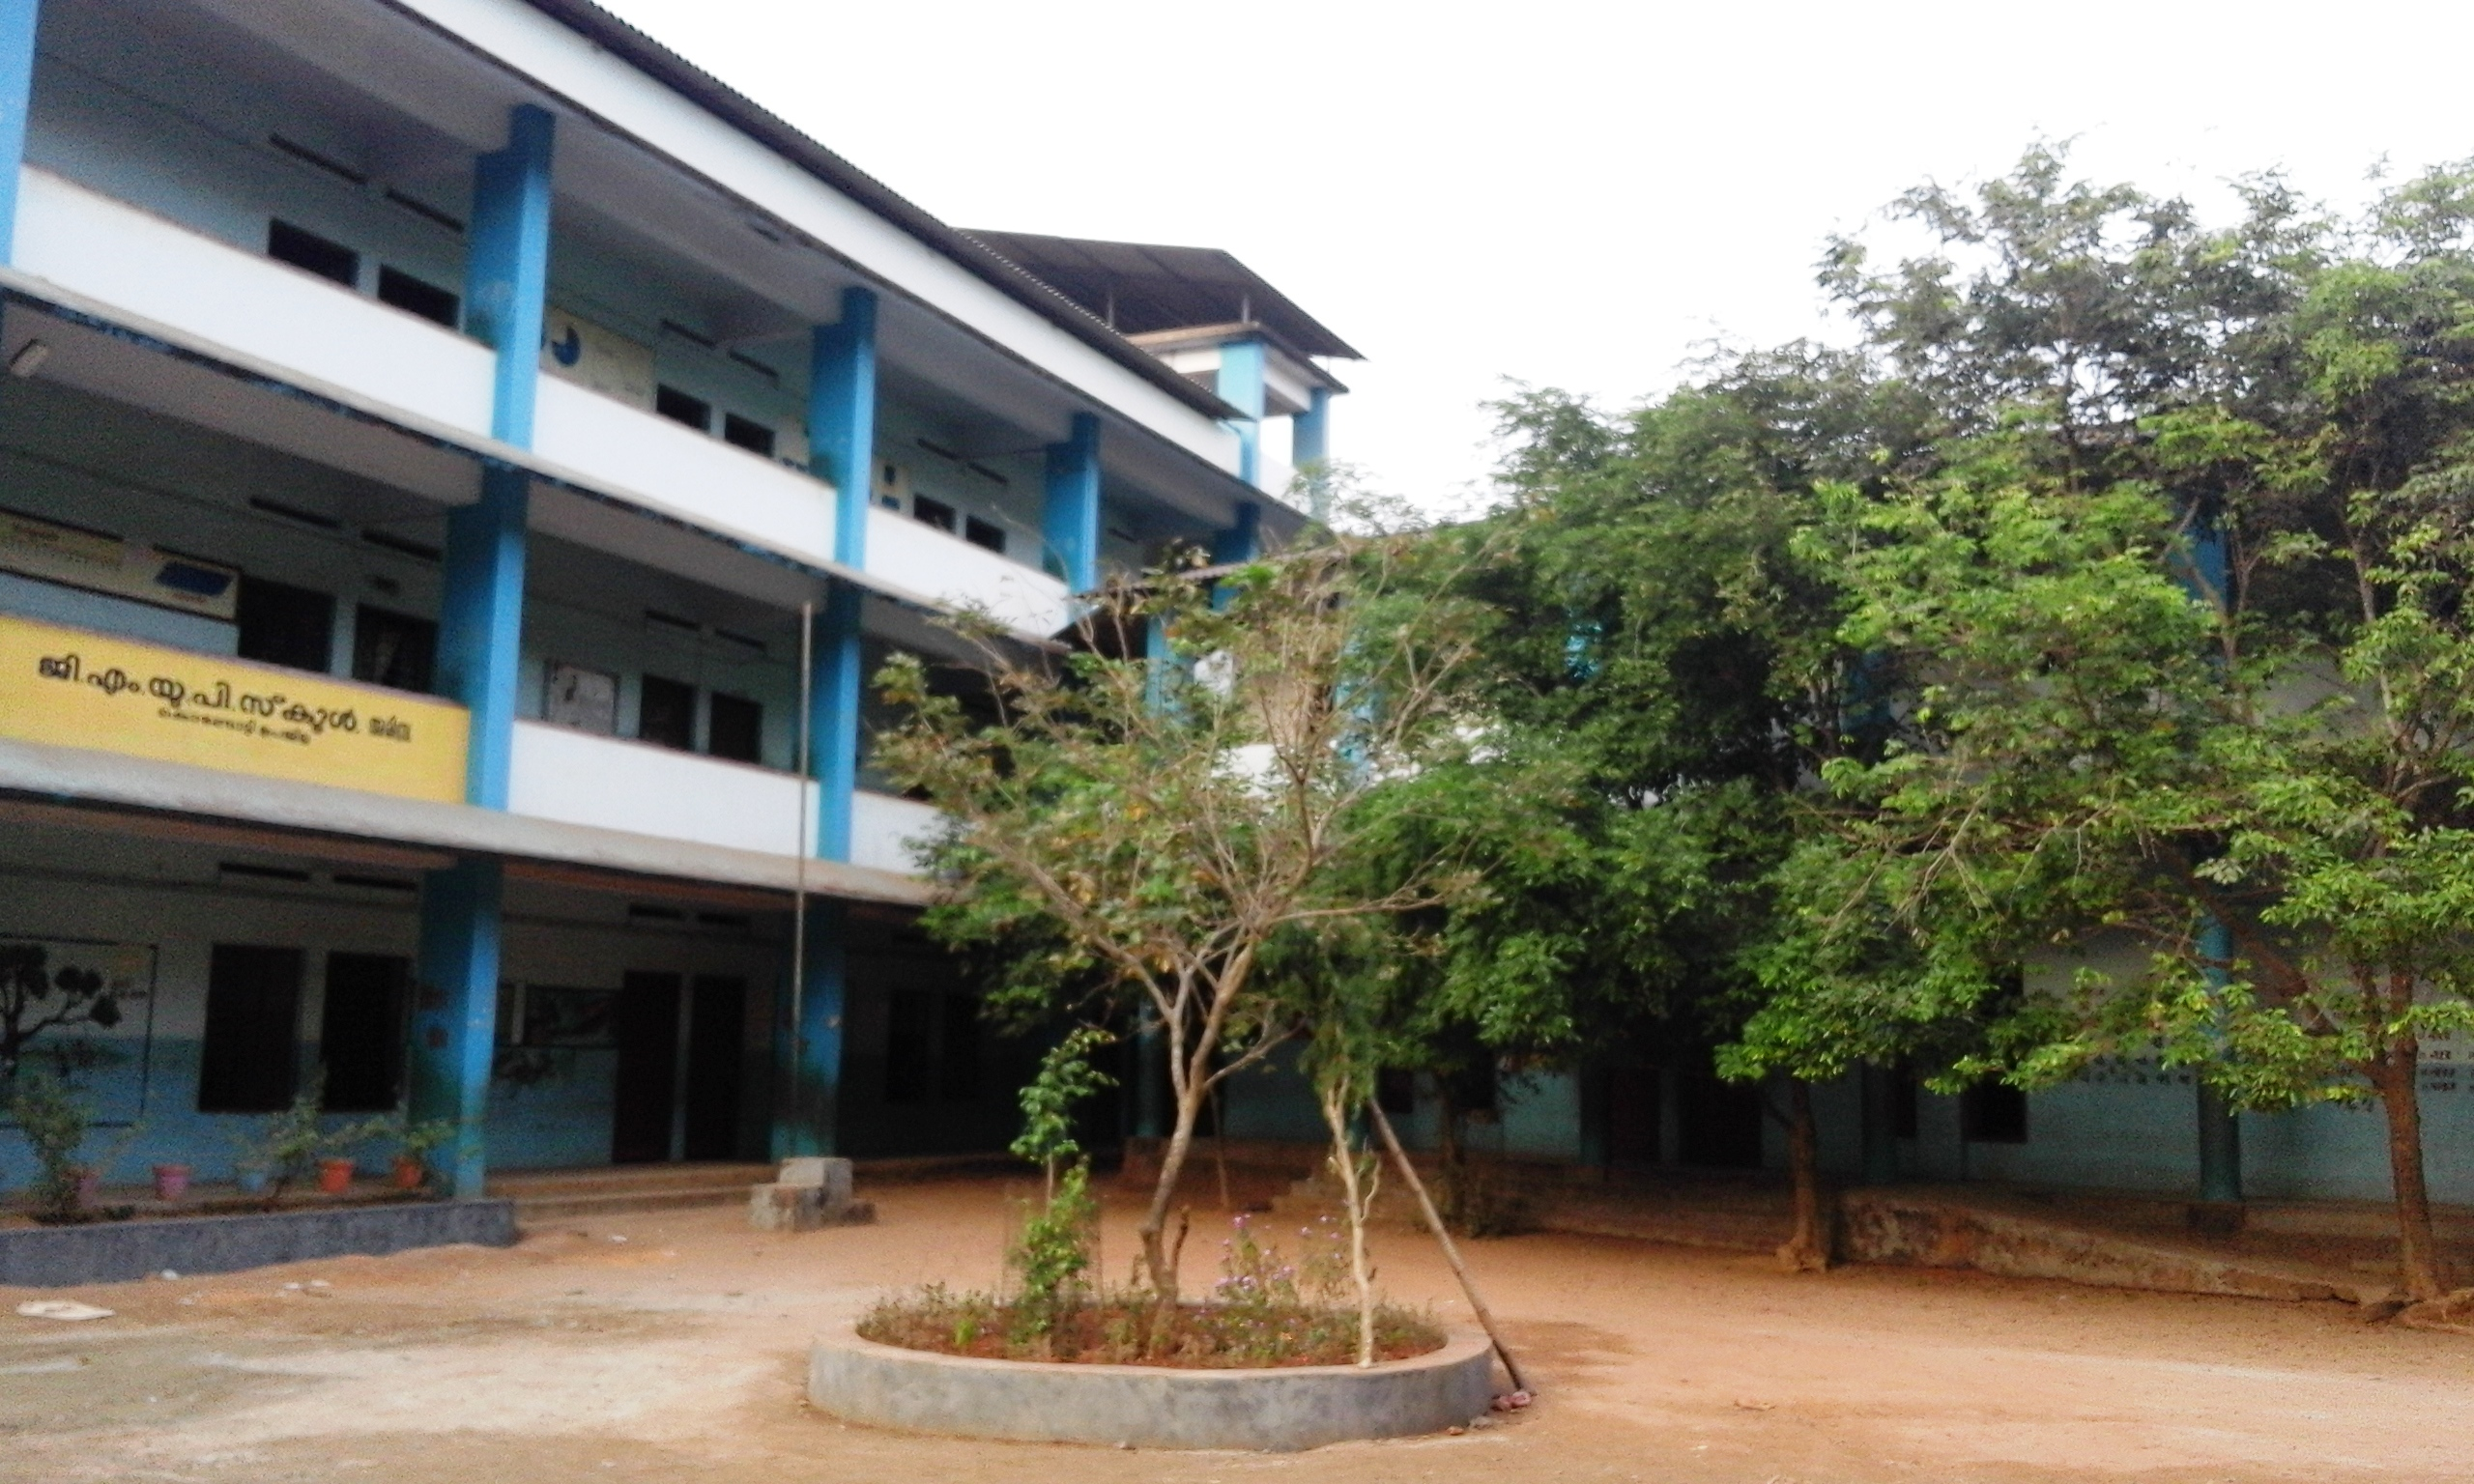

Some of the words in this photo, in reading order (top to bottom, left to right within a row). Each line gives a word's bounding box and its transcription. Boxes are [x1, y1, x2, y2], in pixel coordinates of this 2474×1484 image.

[33, 644, 195, 715] ജി.എ.യു
[187, 672, 367, 740] പി.സ്‌കൂൾ.